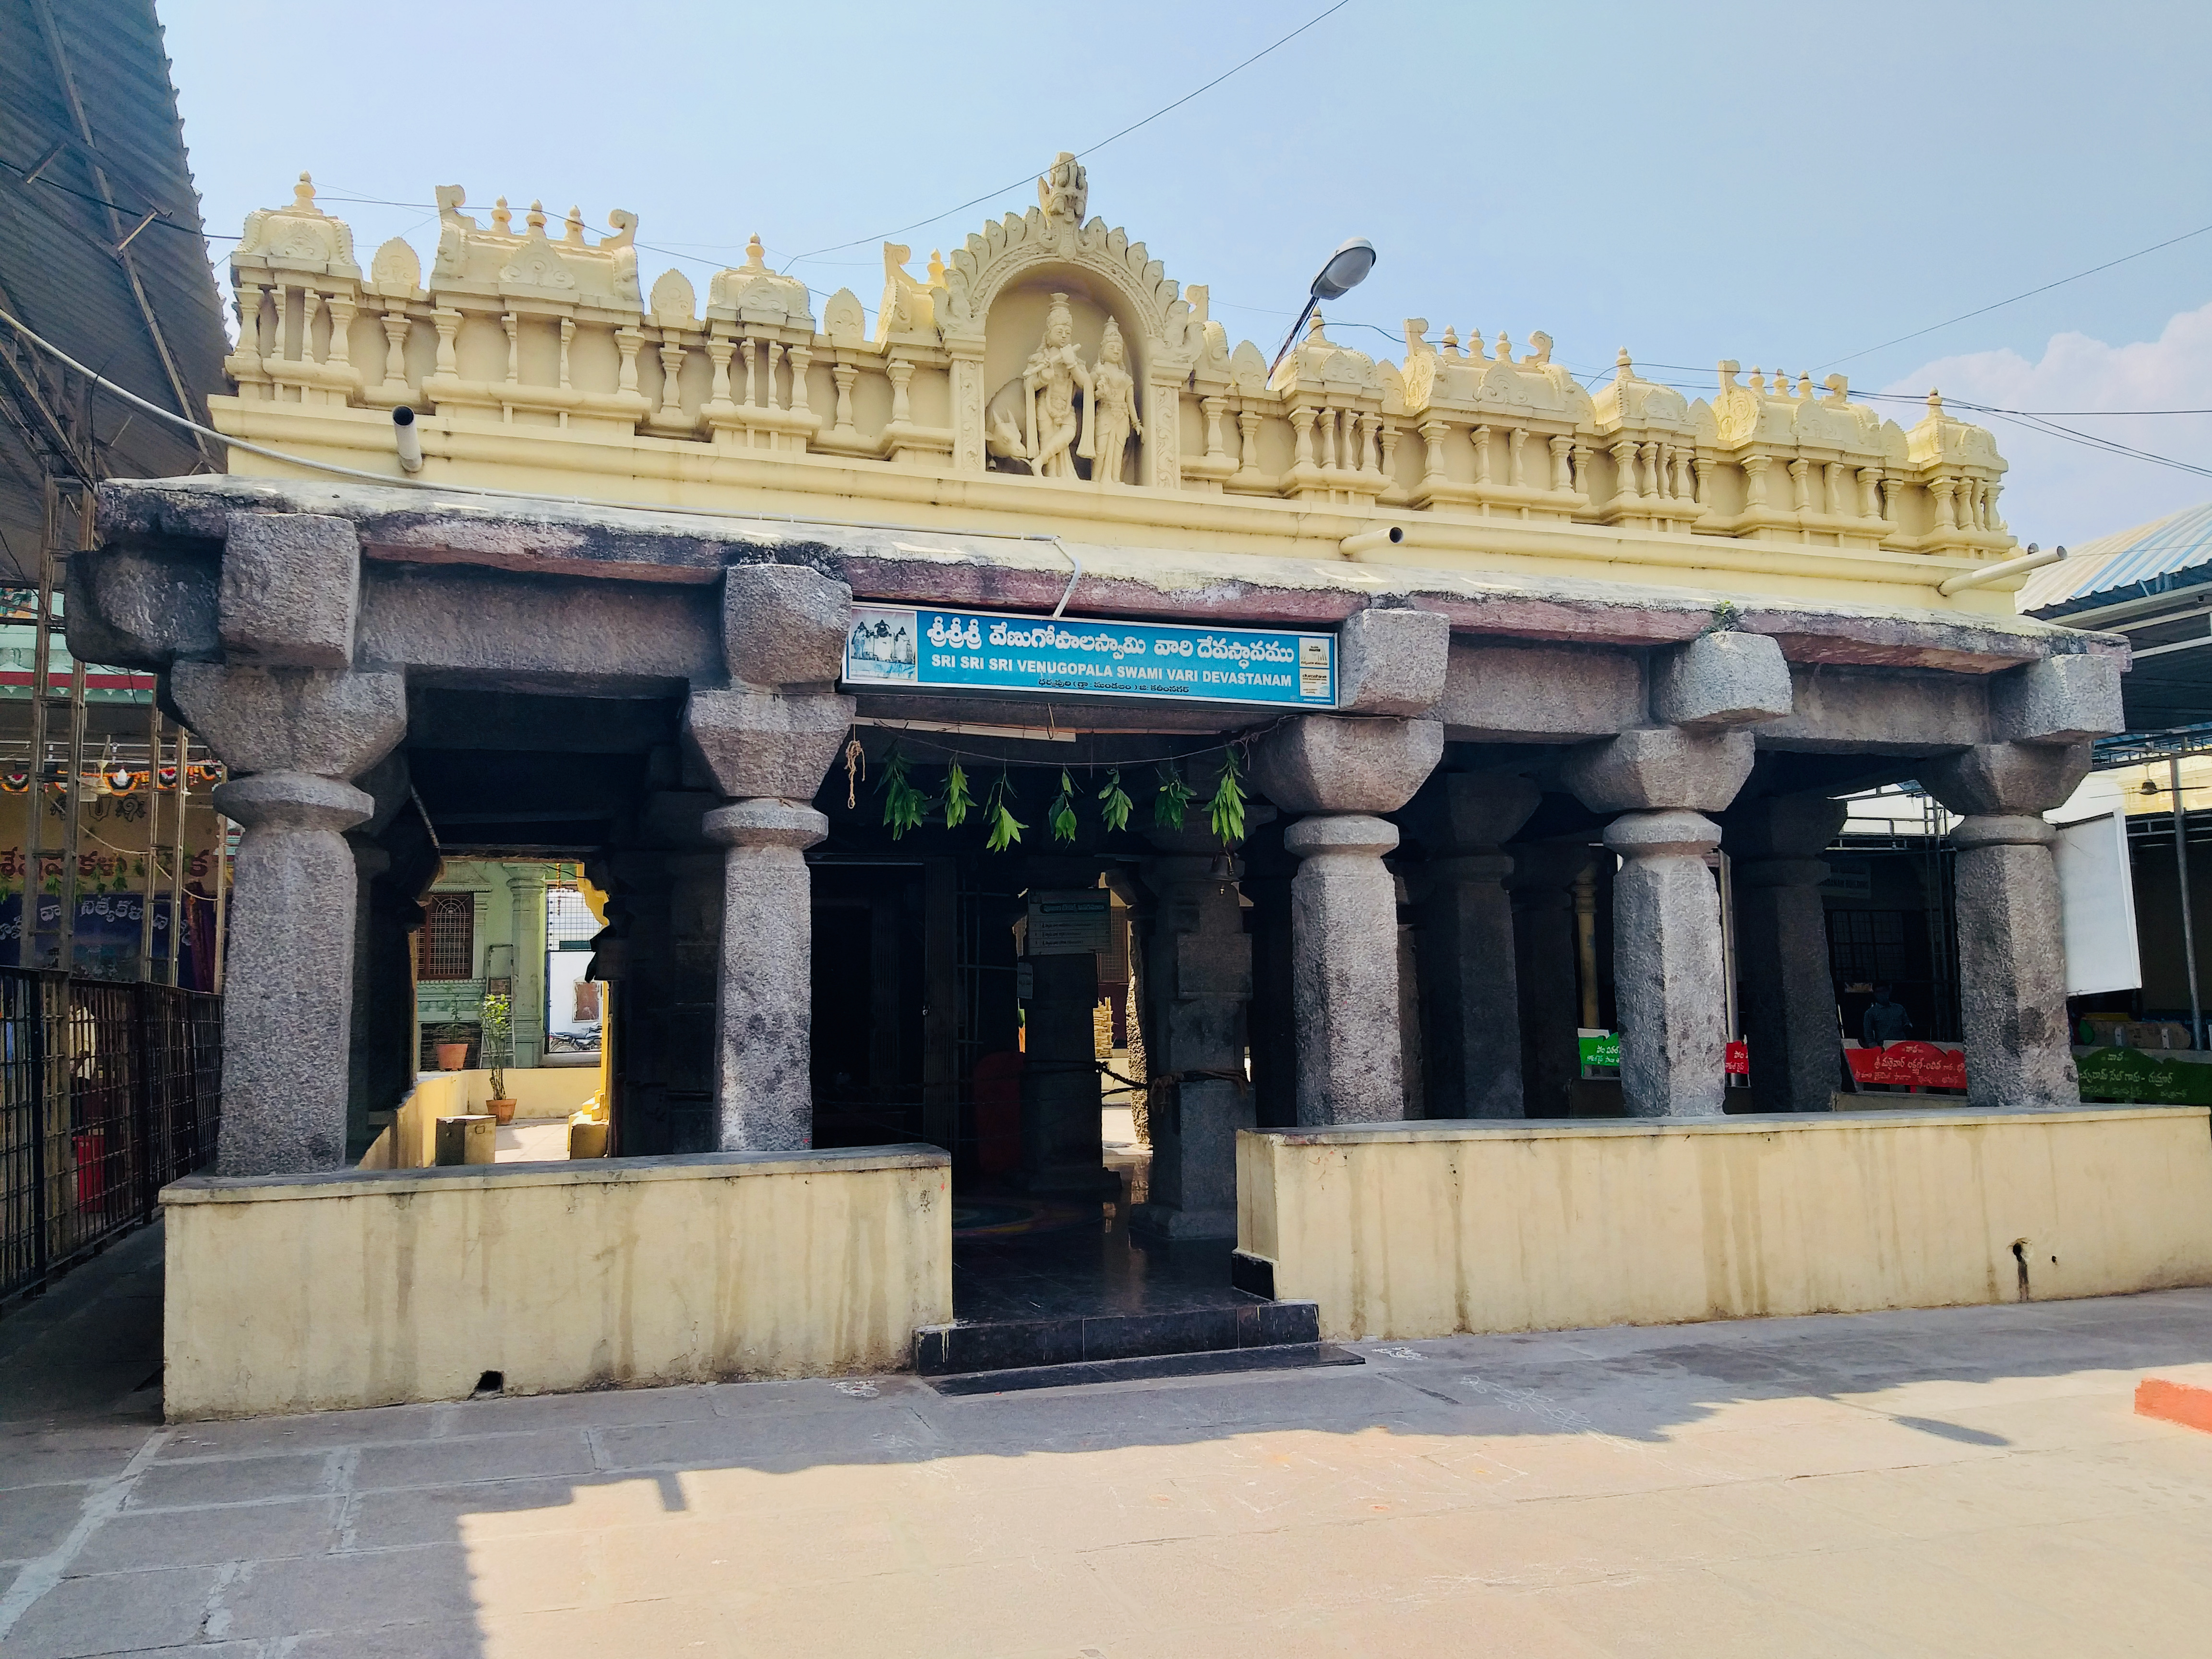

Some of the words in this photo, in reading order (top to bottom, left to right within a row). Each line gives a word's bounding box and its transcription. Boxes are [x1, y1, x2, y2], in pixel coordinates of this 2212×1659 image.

[929, 651, 957, 671] SRI
[923, 611, 984, 651] శ్రీశ్రీశ్రీ
[959, 654, 986, 673] SRI
[986, 655, 1015, 673] SRI
[1035, 675, 1074, 690] ధర్మపురి
[1016, 657, 1116, 680] VENUGOPALA
[989, 619, 1148, 661] వేణుగోపాలస్వామి
[1072, 677, 1090, 690] ( గ్రా
[1092, 679, 1133, 694] మండలం
[1115, 663, 1165, 684] SWAMI
[1136, 681, 1190, 695] జి: కరీంనగర్
[1153, 636, 1196, 661] వారి
[1165, 665, 1200, 686] VARI
[1194, 632, 1296, 671] దేవస్థానము
[1200, 669, 1293, 689] DEVASTANAM